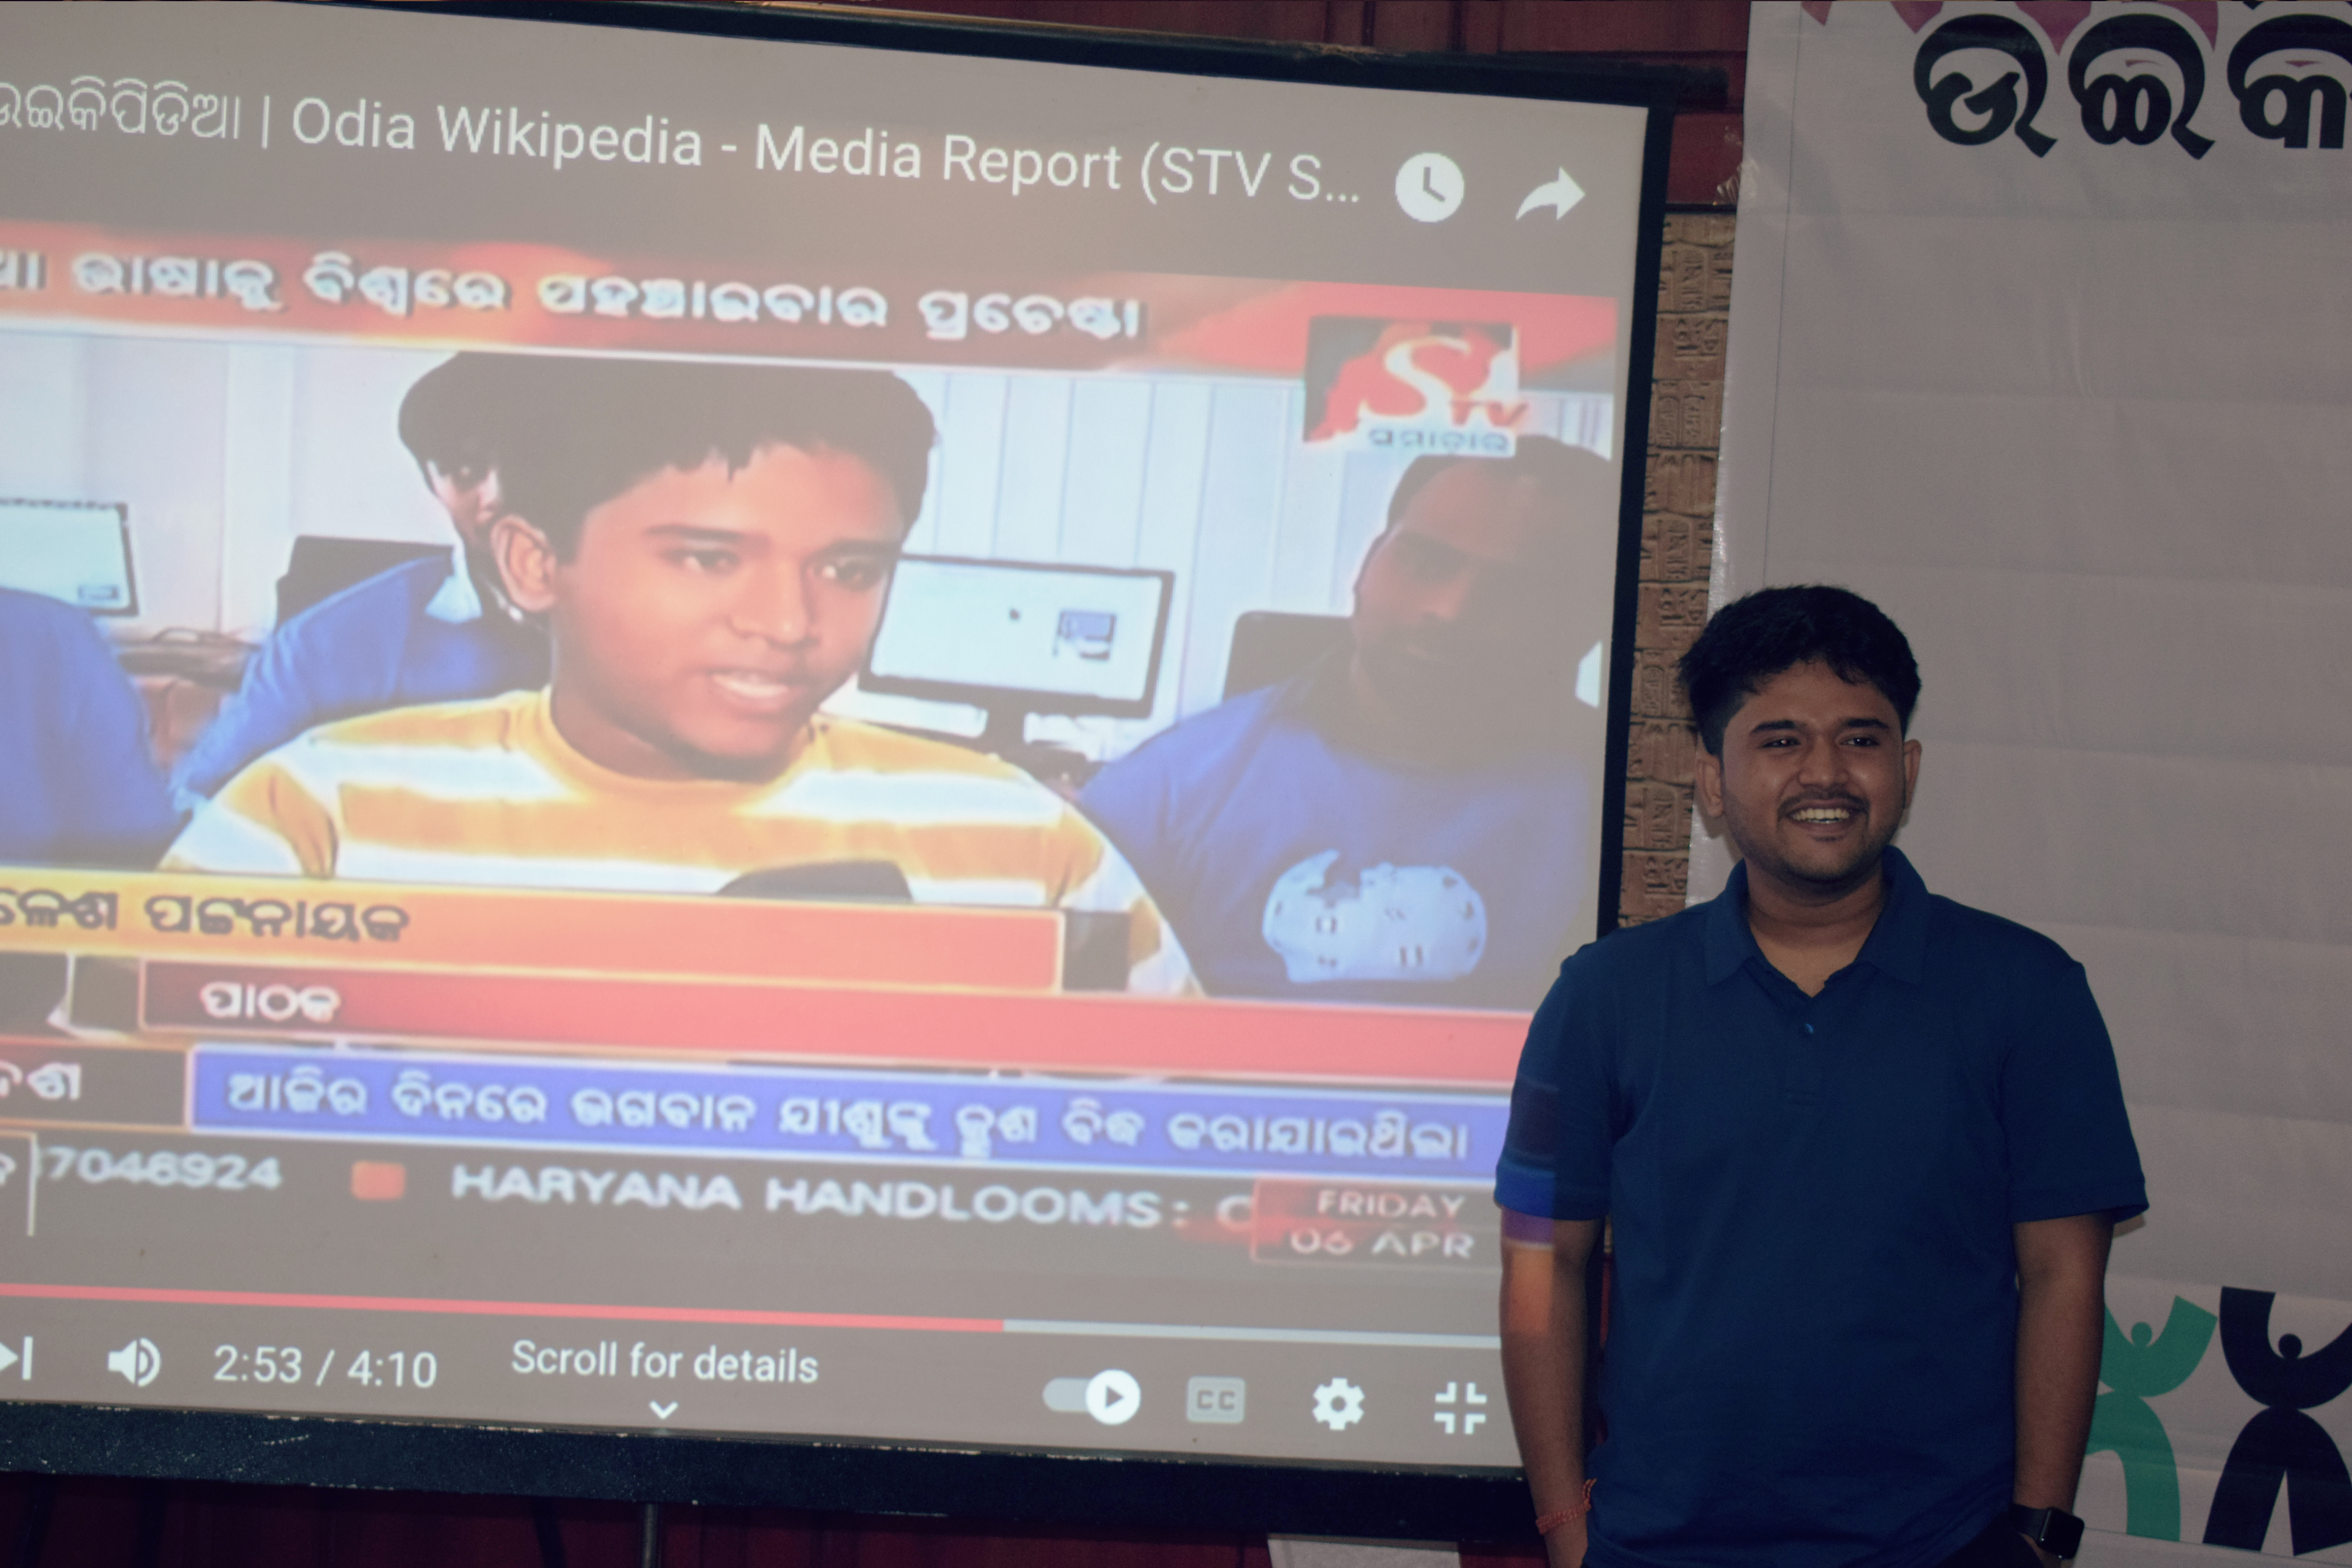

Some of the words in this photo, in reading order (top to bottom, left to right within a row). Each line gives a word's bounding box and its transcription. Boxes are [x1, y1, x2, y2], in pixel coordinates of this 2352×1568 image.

[2, 73, 245, 147] ଉଇକିପିଡିଆ
[289, 89, 423, 153] Odia
[435, 96, 701, 181] Wikipedia
[754, 119, 928, 181] Media
[939, 132, 1127, 201] Report
[1152, 136, 1336, 207] STVS
[71, 245, 293, 321] ଭାଷାକୁ
[293, 232, 514, 327] ଦିନରେ
[531, 273, 888, 333] ପହ‌ଞ୍ଚାଇବାର
[913, 286, 1143, 347] ପ୍ରଚେଷ୍ଟା
[2, 883, 122, 941] ଳଣ
[143, 888, 410, 944] ପଟ୍ଟନାୟକ
[190, 975, 349, 1029] ପାଠକ
[224, 1059, 376, 1124] ଆଜିର
[388, 1063, 550, 1129] ଦିନରେ
[571, 1080, 760, 1138] ଭଗବାନ
[775, 1087, 943, 1157] ଯୀଶୁଙ୍କୁ
[953, 1089, 1042, 1163] କୃଶ
[1055, 1087, 1152, 1154] ବିଦ୍ଧ
[1160, 1101, 1474, 1167] କରାଯାଇଥିଲା
[42, 1144, 289, 1202] 7046924
[449, 1163, 746, 1213] HARYANA
[757, 1174, 1167, 1229] HANDLOOMS
[1310, 1183, 1472, 1221] FRIDAY
[1282, 1215, 1363, 1263] 06
[1360, 1221, 1481, 1266] APR
[204, 1338, 309, 1389] 2:53
[338, 1342, 441, 1393] 4:10
[506, 1329, 624, 1385] Scroll
[624, 1336, 684, 1383] for
[691, 1342, 819, 1387] details